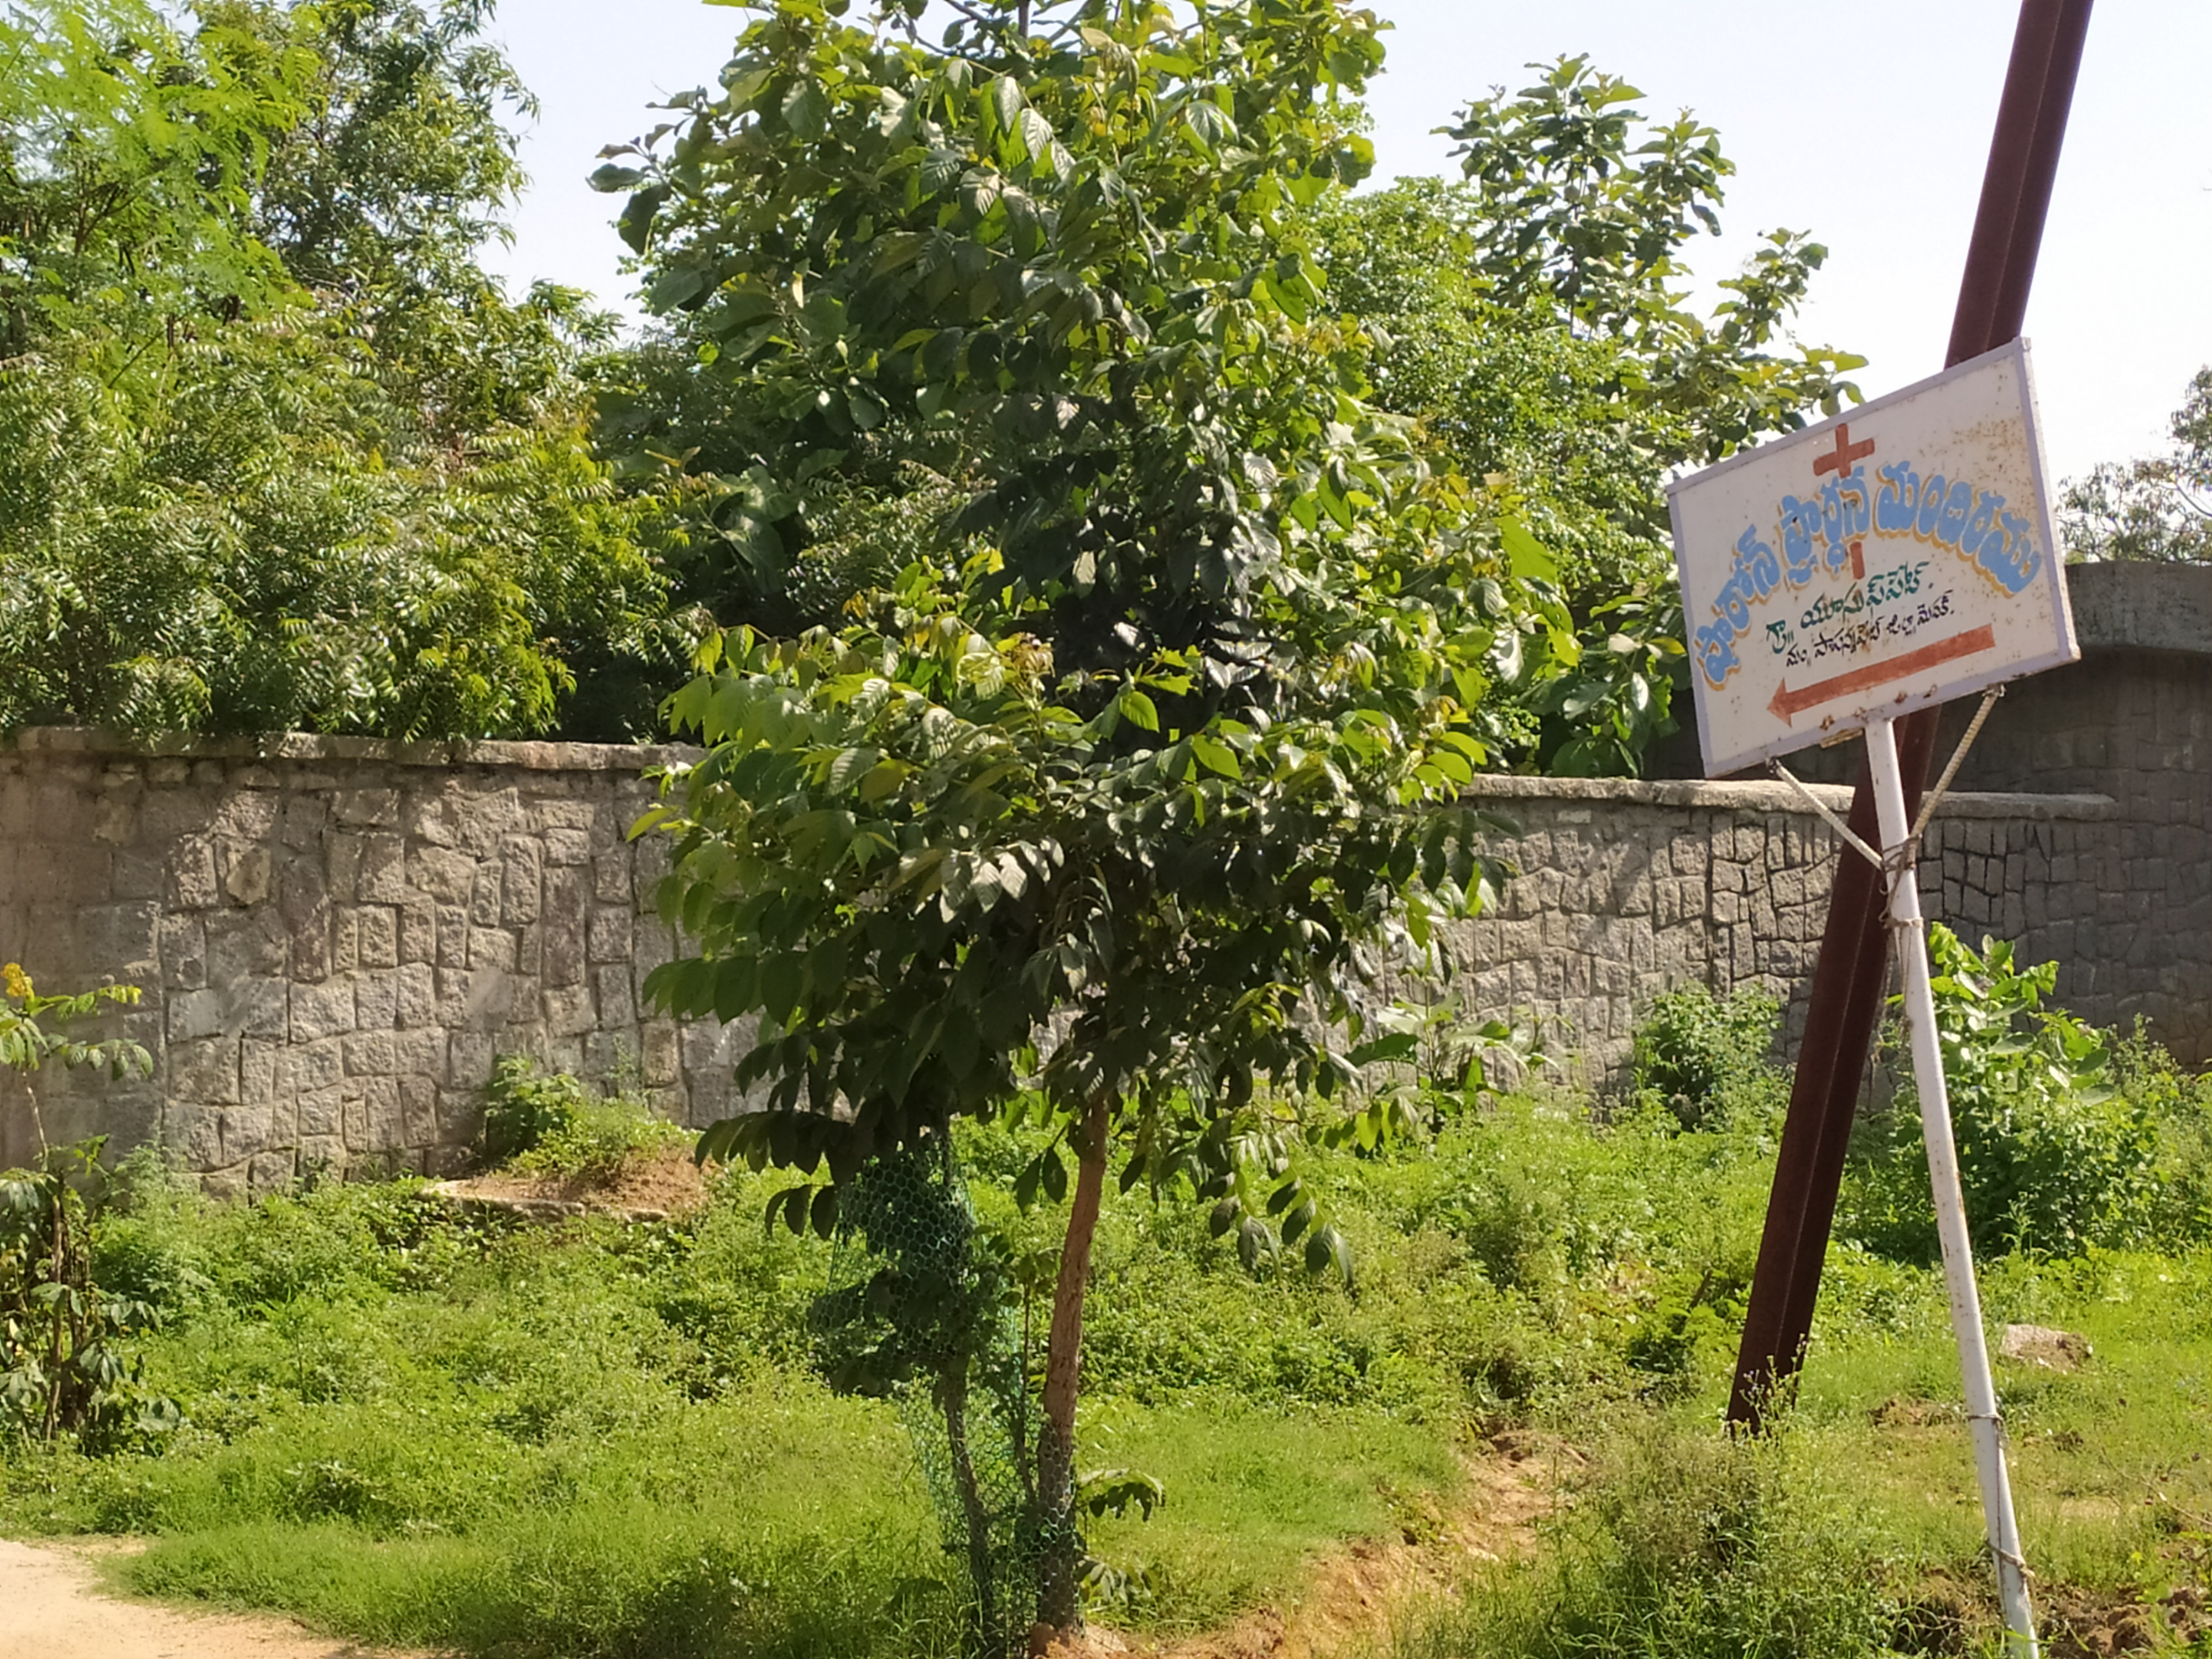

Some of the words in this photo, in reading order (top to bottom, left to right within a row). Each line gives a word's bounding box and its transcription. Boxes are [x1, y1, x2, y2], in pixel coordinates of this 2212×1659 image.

[1772, 460, 1875, 593] ప్రార్ధన
[1875, 456, 2052, 601] మందిరము
[1688, 517, 1787, 698] షారోన్
[1757, 613, 1803, 665] గ్రా॥
[1791, 557, 1934, 639] యూసుఫ్పెట్